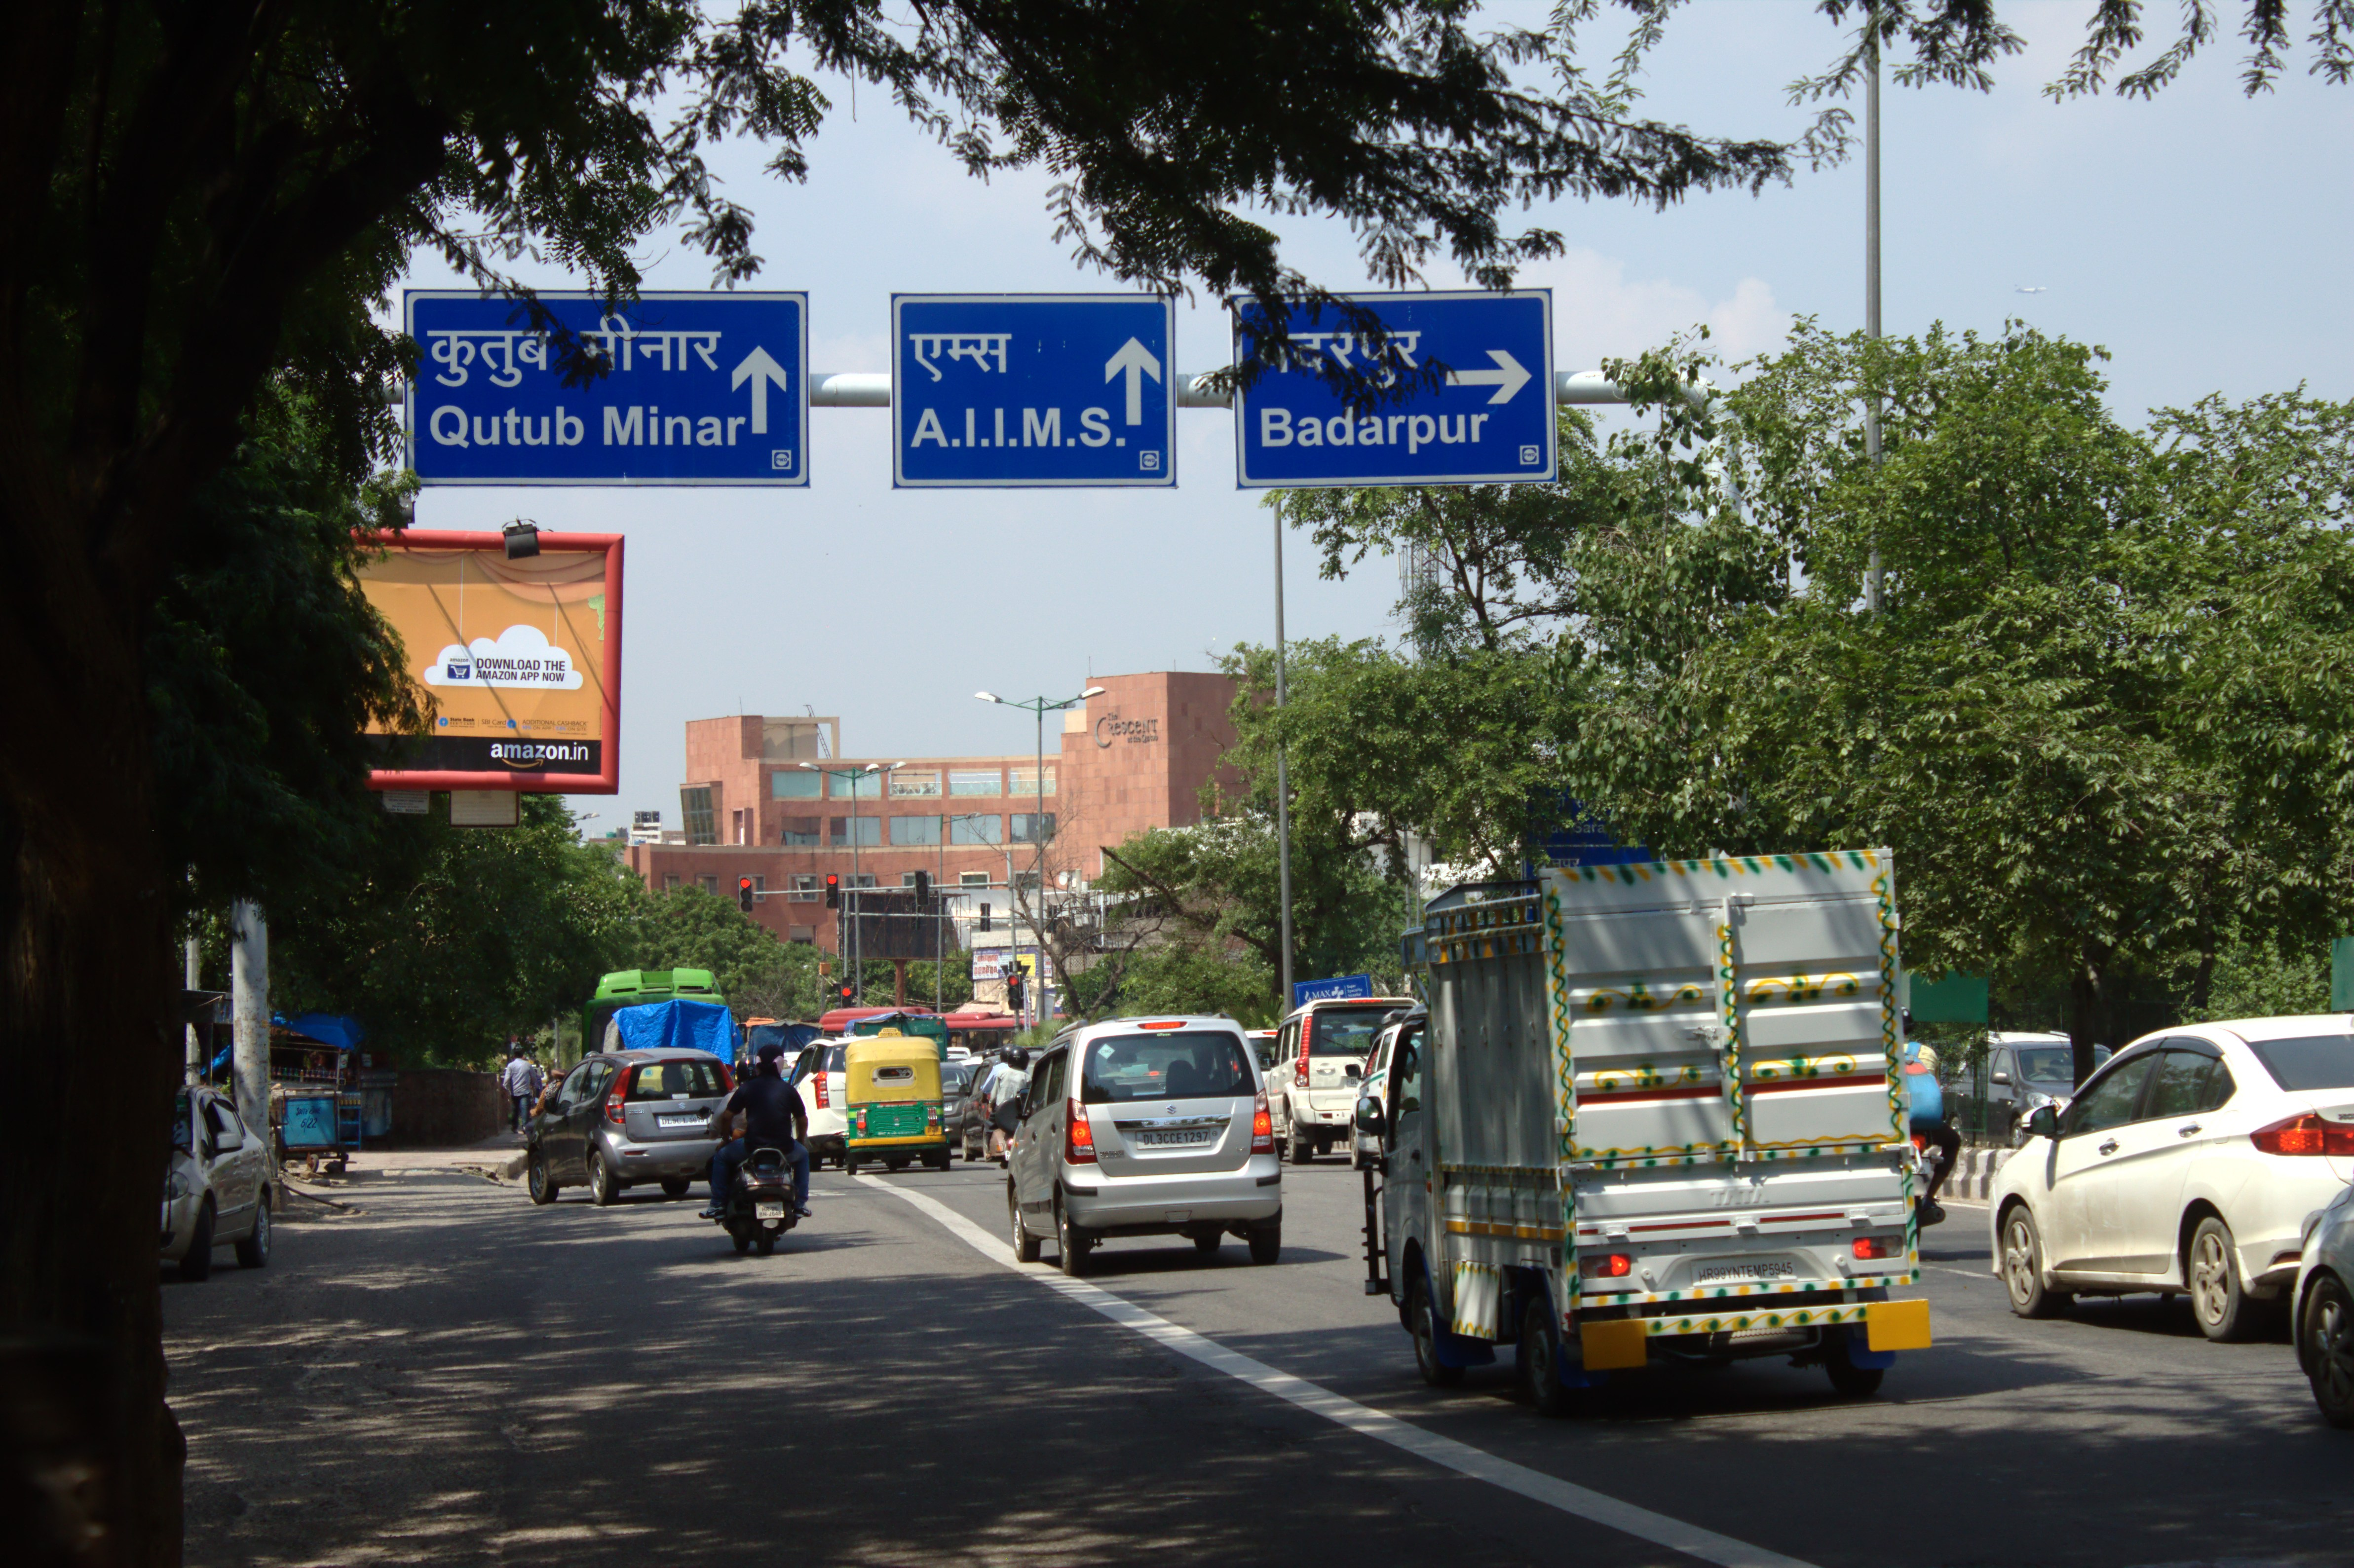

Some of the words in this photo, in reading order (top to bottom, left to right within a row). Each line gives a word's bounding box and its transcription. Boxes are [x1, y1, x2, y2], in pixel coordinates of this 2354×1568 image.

[425, 328, 552, 390] कुतुब
[579, 310, 723, 373] मीनार
[909, 332, 1012, 384] एम्स
[1257, 331, 1424, 390] बदरपुर
[427, 403, 587, 451] Qutub
[602, 404, 747, 446] Minar
[910, 405, 1127, 449] A.I.I.M.S.
[1258, 404, 1490, 456] Badarpur
[473, 668, 519, 682] AMAZON
[474, 656, 542, 673] DOWNLOAD
[520, 669, 540, 682] APP
[542, 658, 566, 673] THE
[542, 671, 567, 684] NOW
[522, 717, 557, 728] ADDITIONAL
[555, 718, 589, 729] CASHBACK
[489, 739, 591, 763] amazon.in